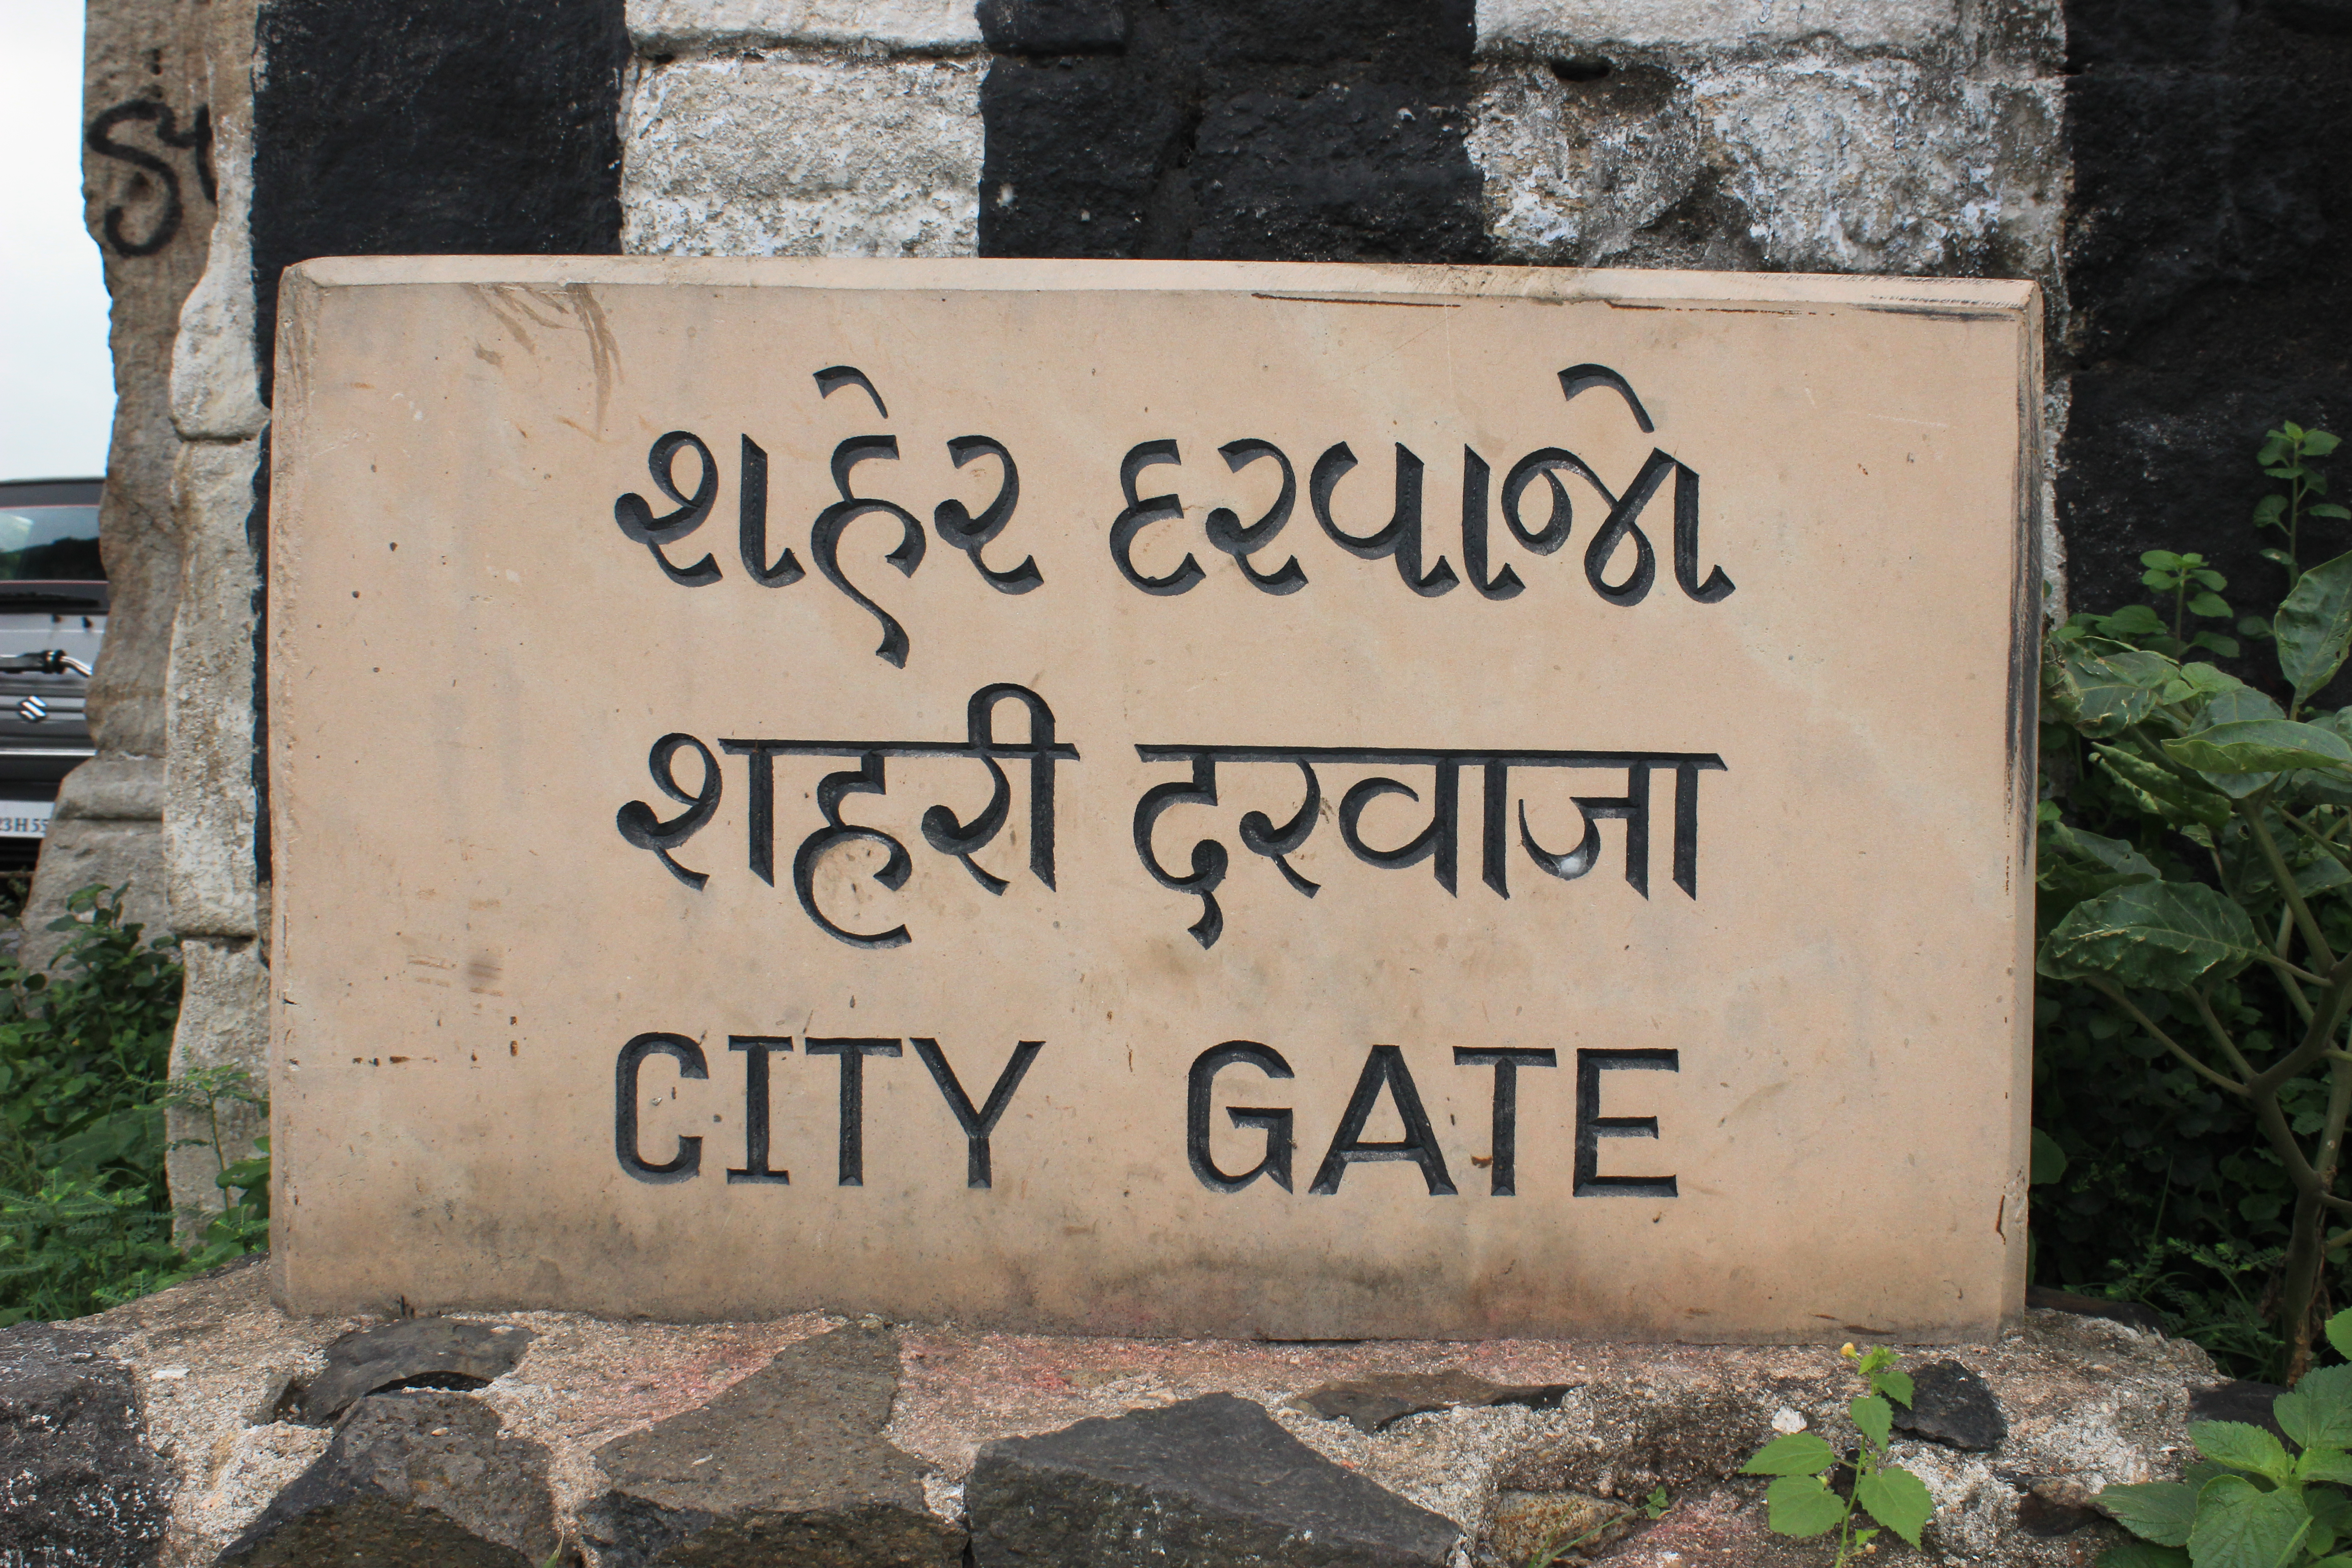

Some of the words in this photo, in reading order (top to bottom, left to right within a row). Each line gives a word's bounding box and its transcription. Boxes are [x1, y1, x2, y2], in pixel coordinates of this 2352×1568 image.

[583, 355, 1057, 679] શહેર
[1086, 349, 1759, 635] દરવાજો
[597, 669, 1096, 959] शहरी
[1110, 728, 1743, 973] दरवाजा
[585, 1016, 1056, 1212] CITY
[1162, 1028, 1716, 1220] GATE